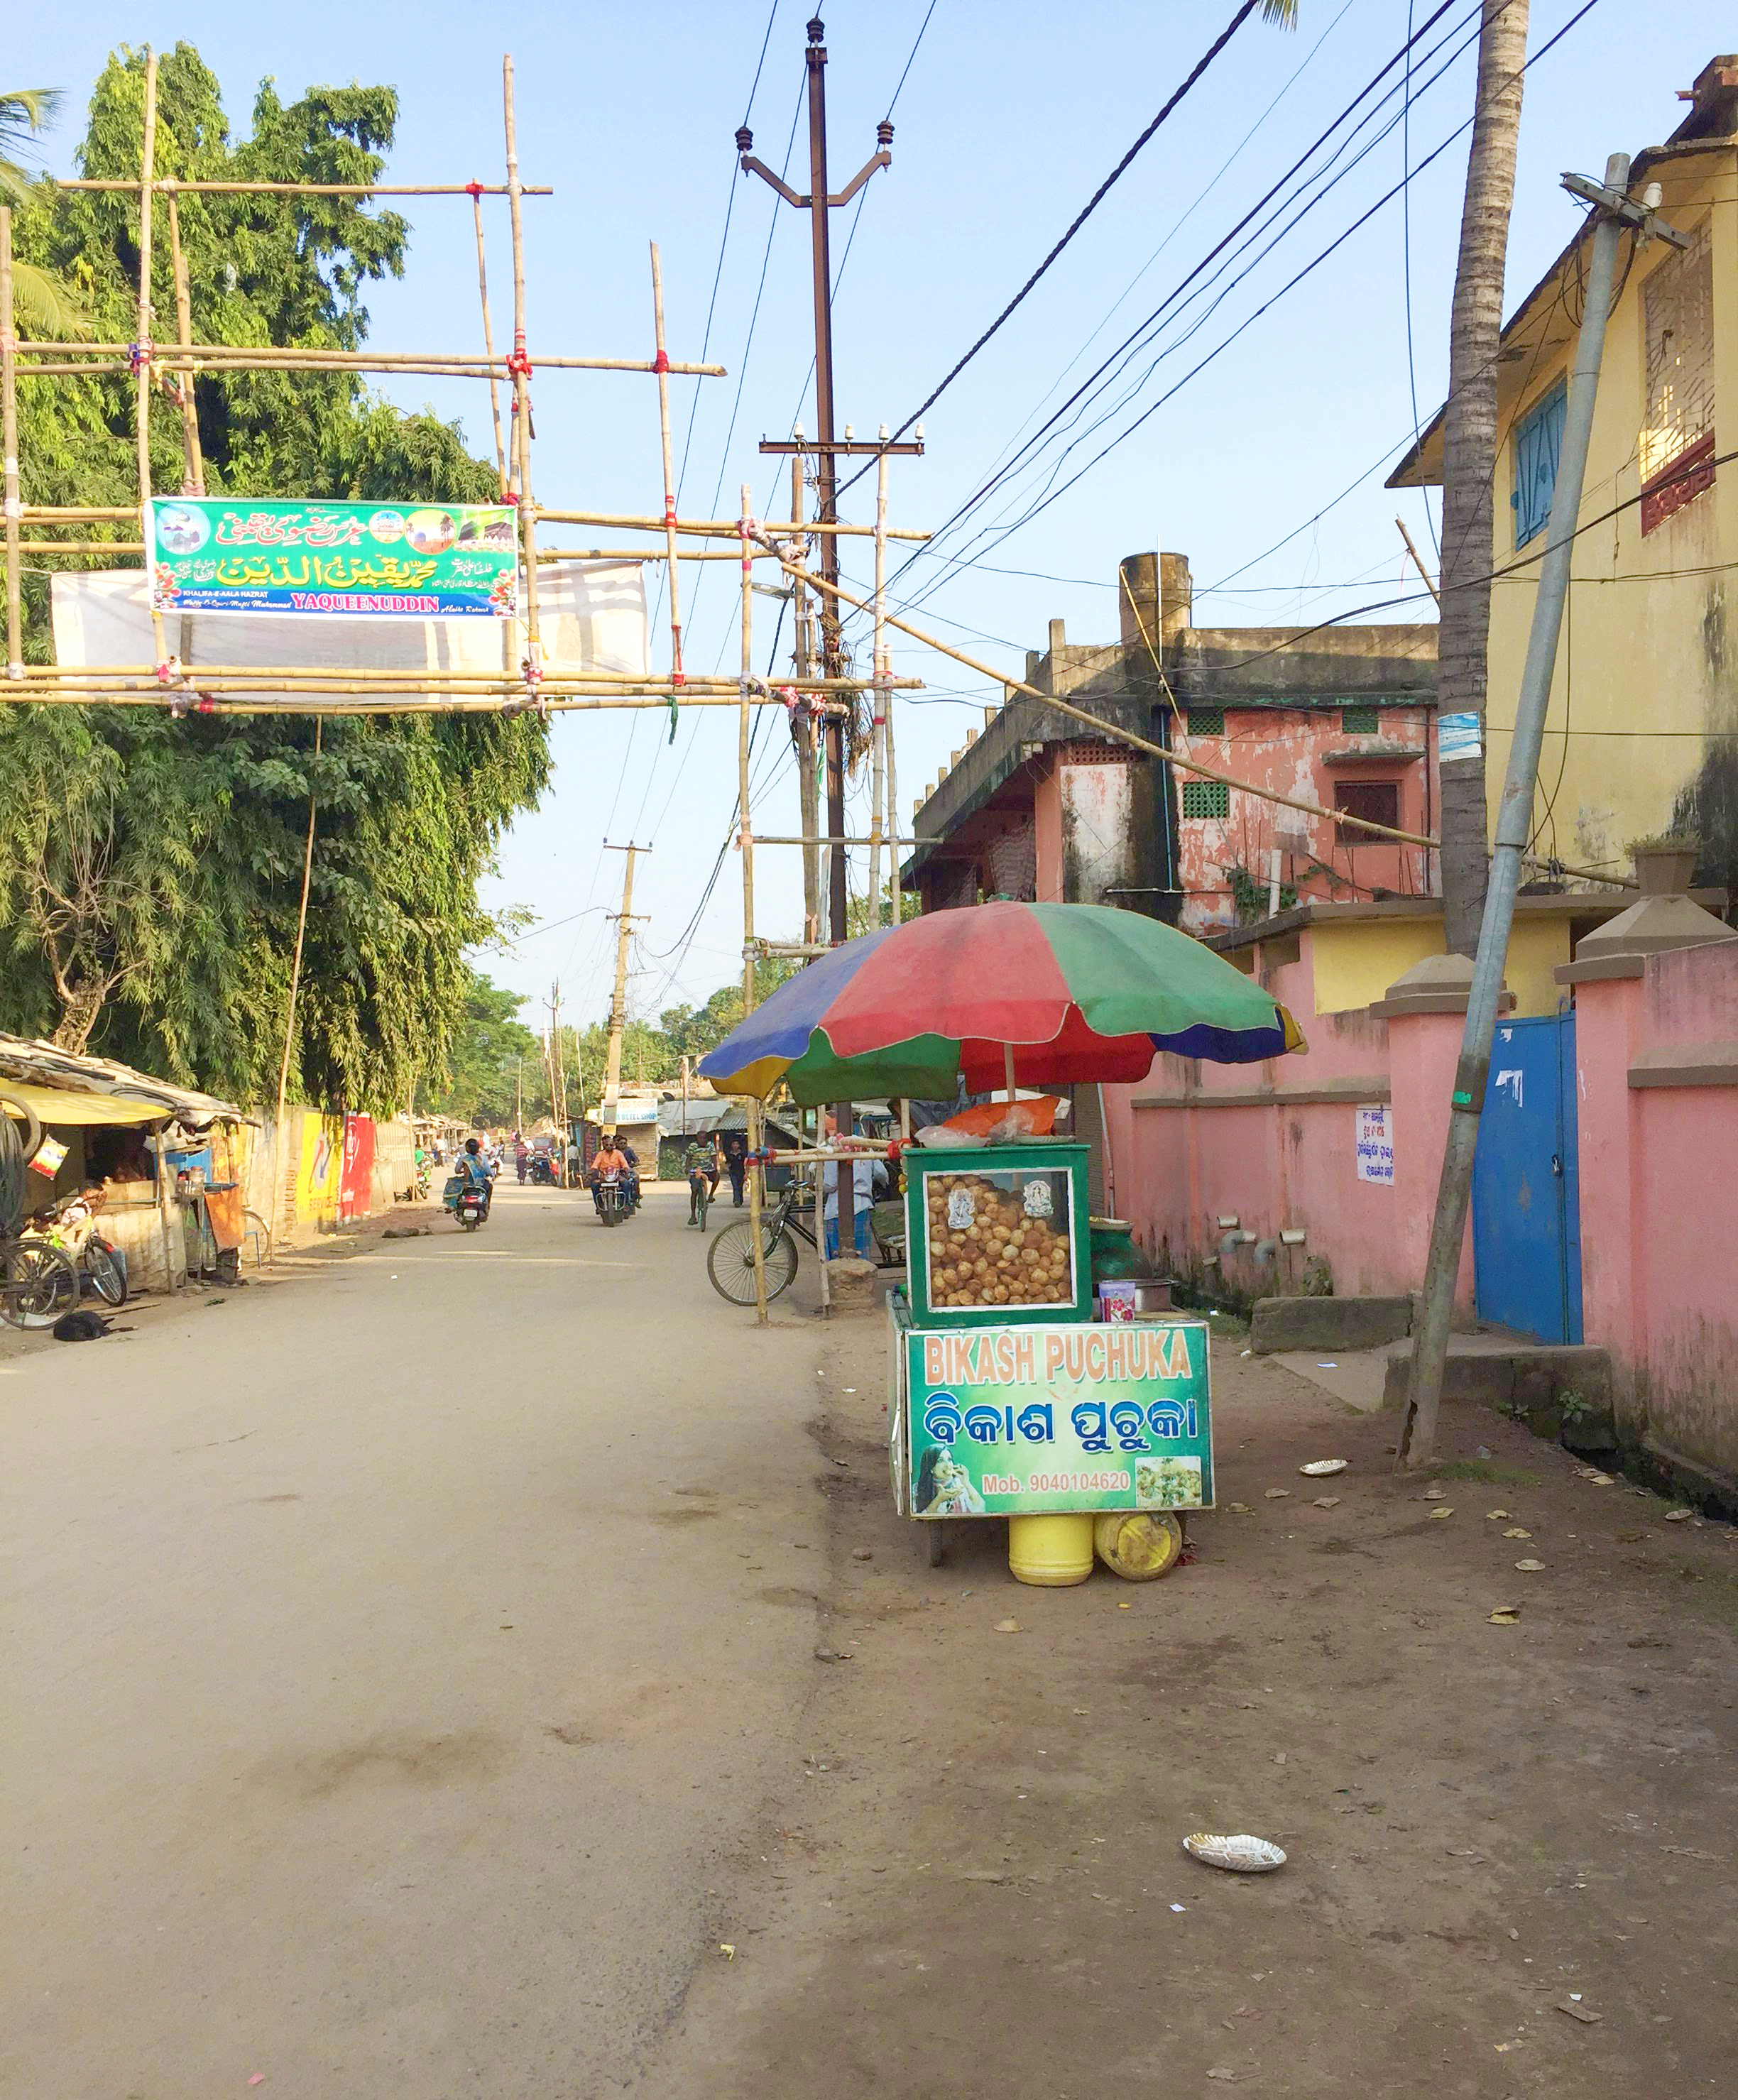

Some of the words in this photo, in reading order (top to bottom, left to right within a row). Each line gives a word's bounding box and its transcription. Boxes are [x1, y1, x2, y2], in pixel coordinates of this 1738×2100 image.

[177, 584, 223, 601] KHALIFA-E
[217, 589, 270, 601] AALAHAZRAT
[289, 591, 441, 619] YAQUEENUDDIN
[921, 1332, 1037, 1388] BIKASH
[1043, 1324, 1193, 1385] PUCHUKA
[915, 1385, 1058, 1448] ବିକାଶ
[1067, 1394, 1199, 1460] ପୁଚୁକା
[980, 1465, 1030, 1496] Mob.
[1029, 1467, 1132, 1495] 9040104620